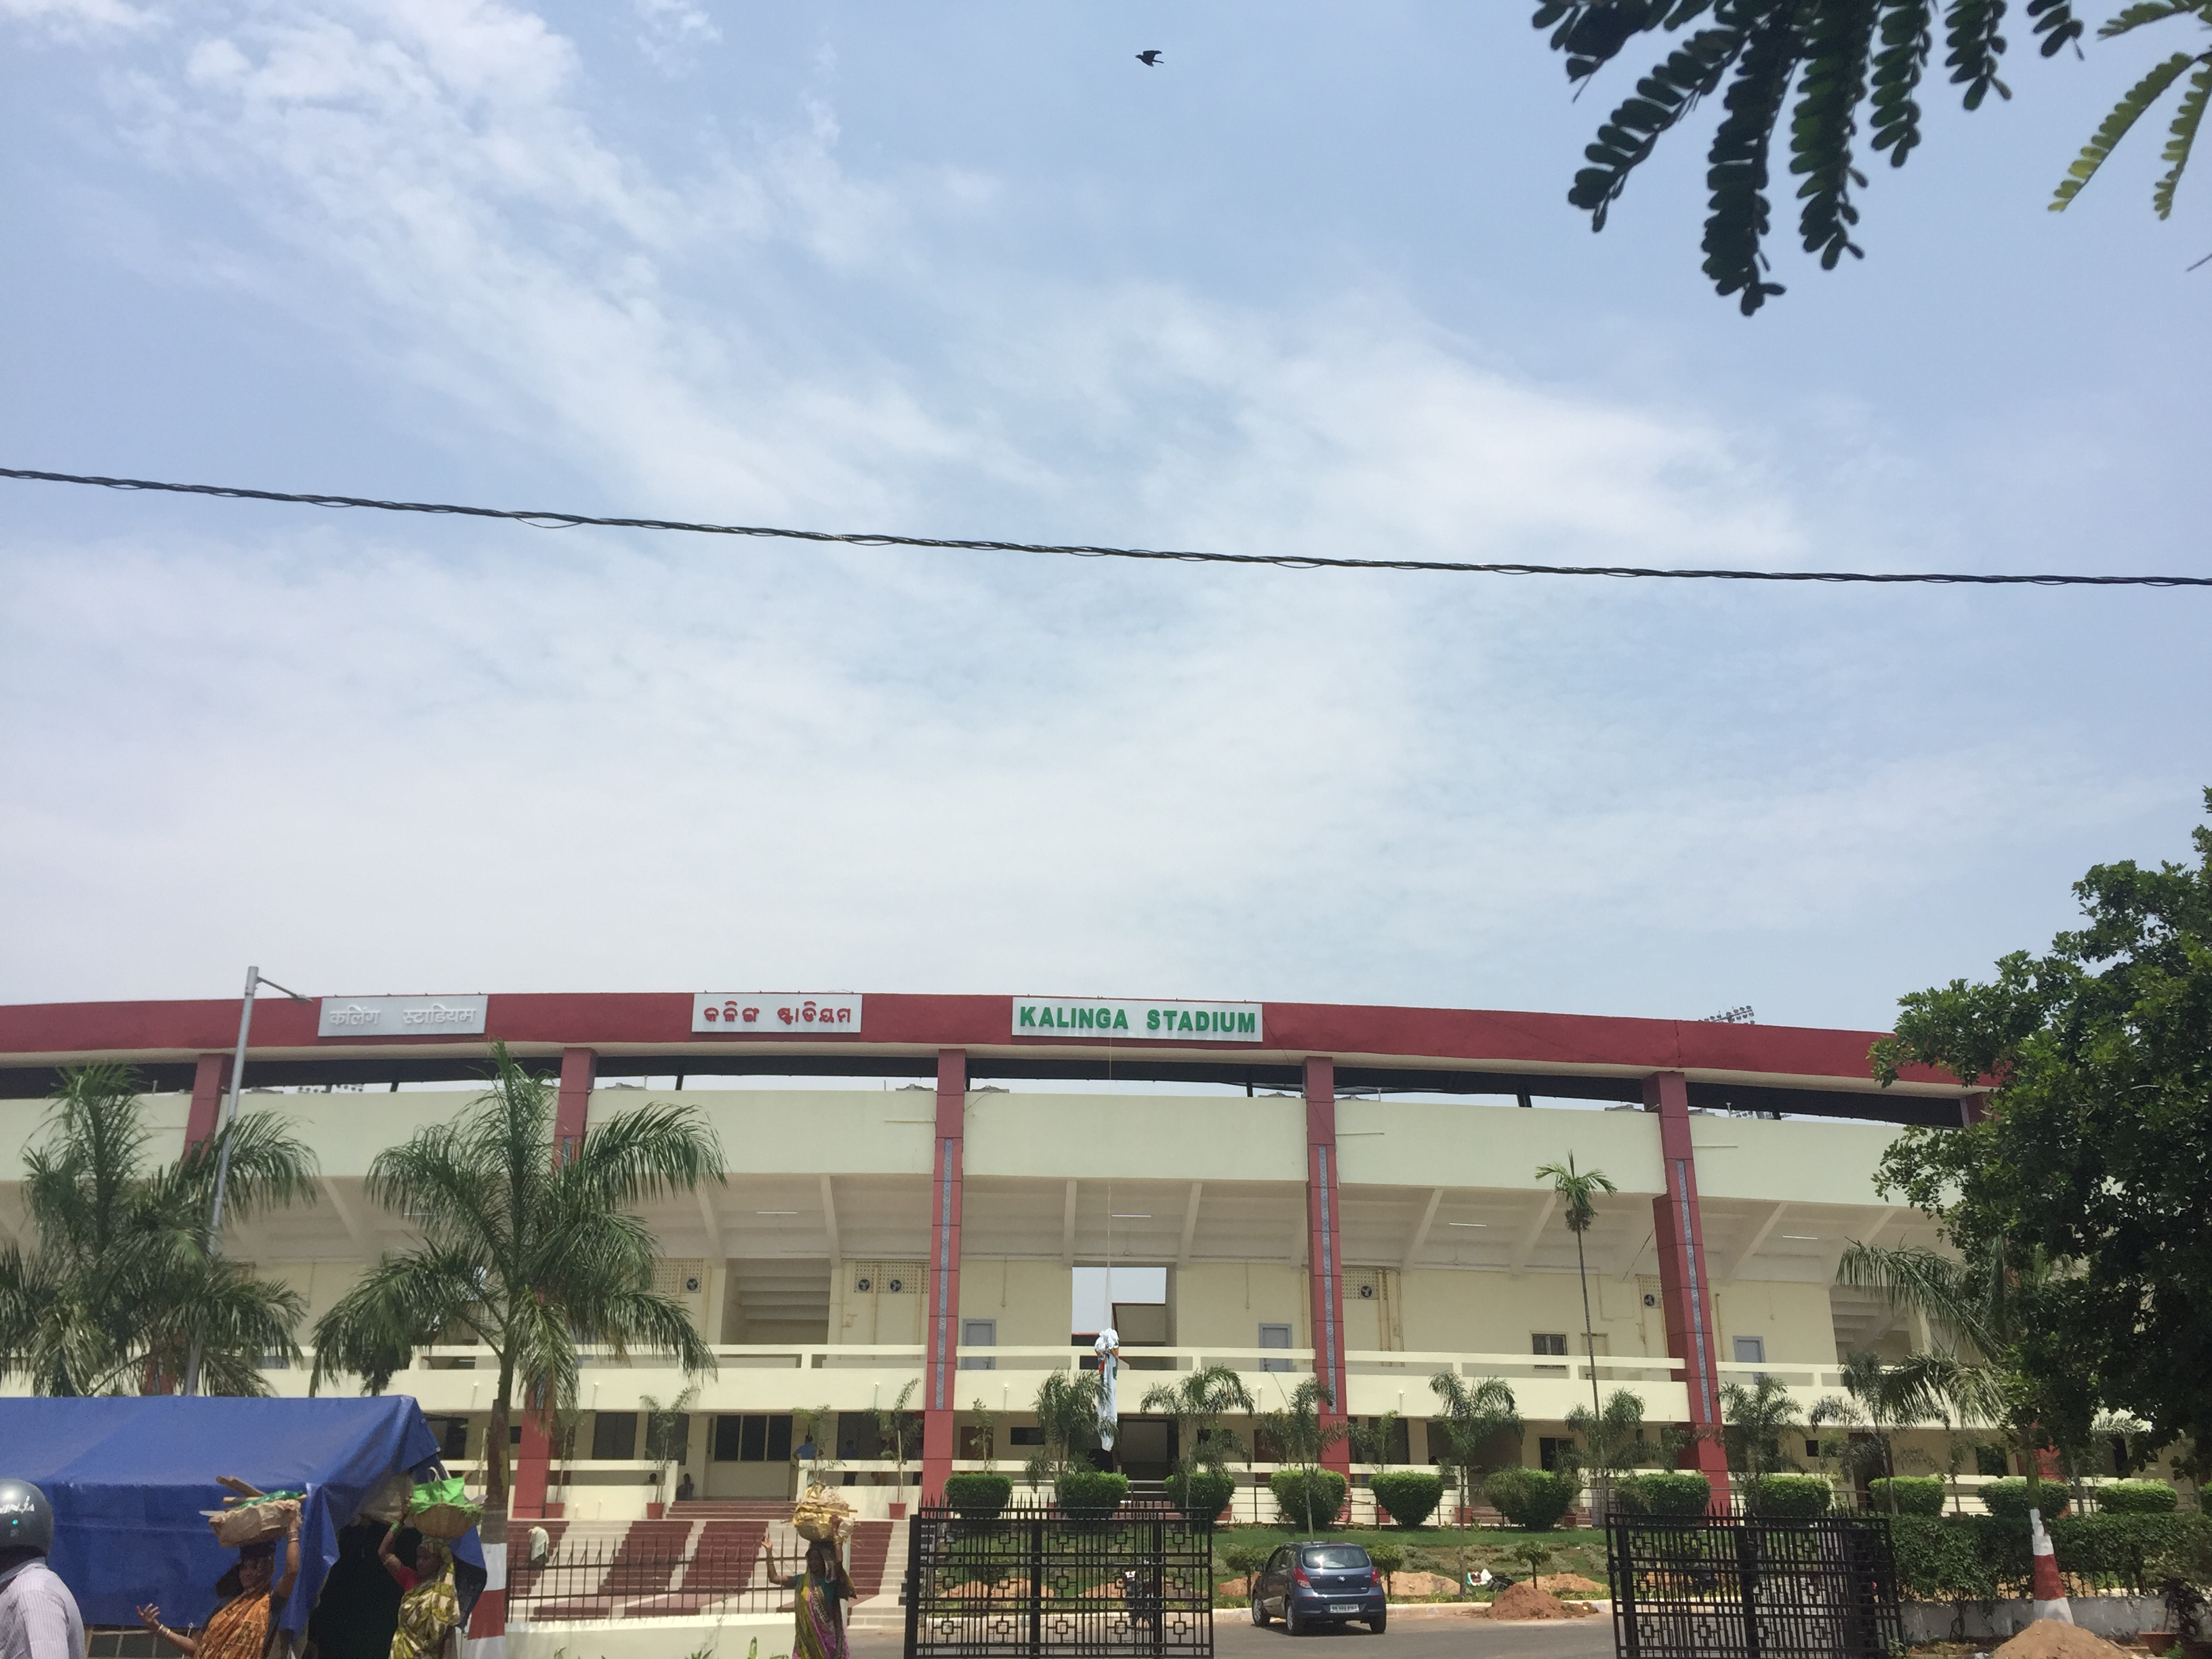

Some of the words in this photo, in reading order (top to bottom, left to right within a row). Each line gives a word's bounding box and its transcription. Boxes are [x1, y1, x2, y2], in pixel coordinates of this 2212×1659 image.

[326, 994, 388, 1033] कलिंग
[396, 995, 480, 1030] स्टाडियम
[694, 994, 764, 1025] କଲିଙ୍ଗ
[776, 998, 854, 1030] ଷ୍ଟାଡିୟମ
[1018, 1001, 1132, 1031] KALINGA
[1143, 1004, 1259, 1036] STADIUM